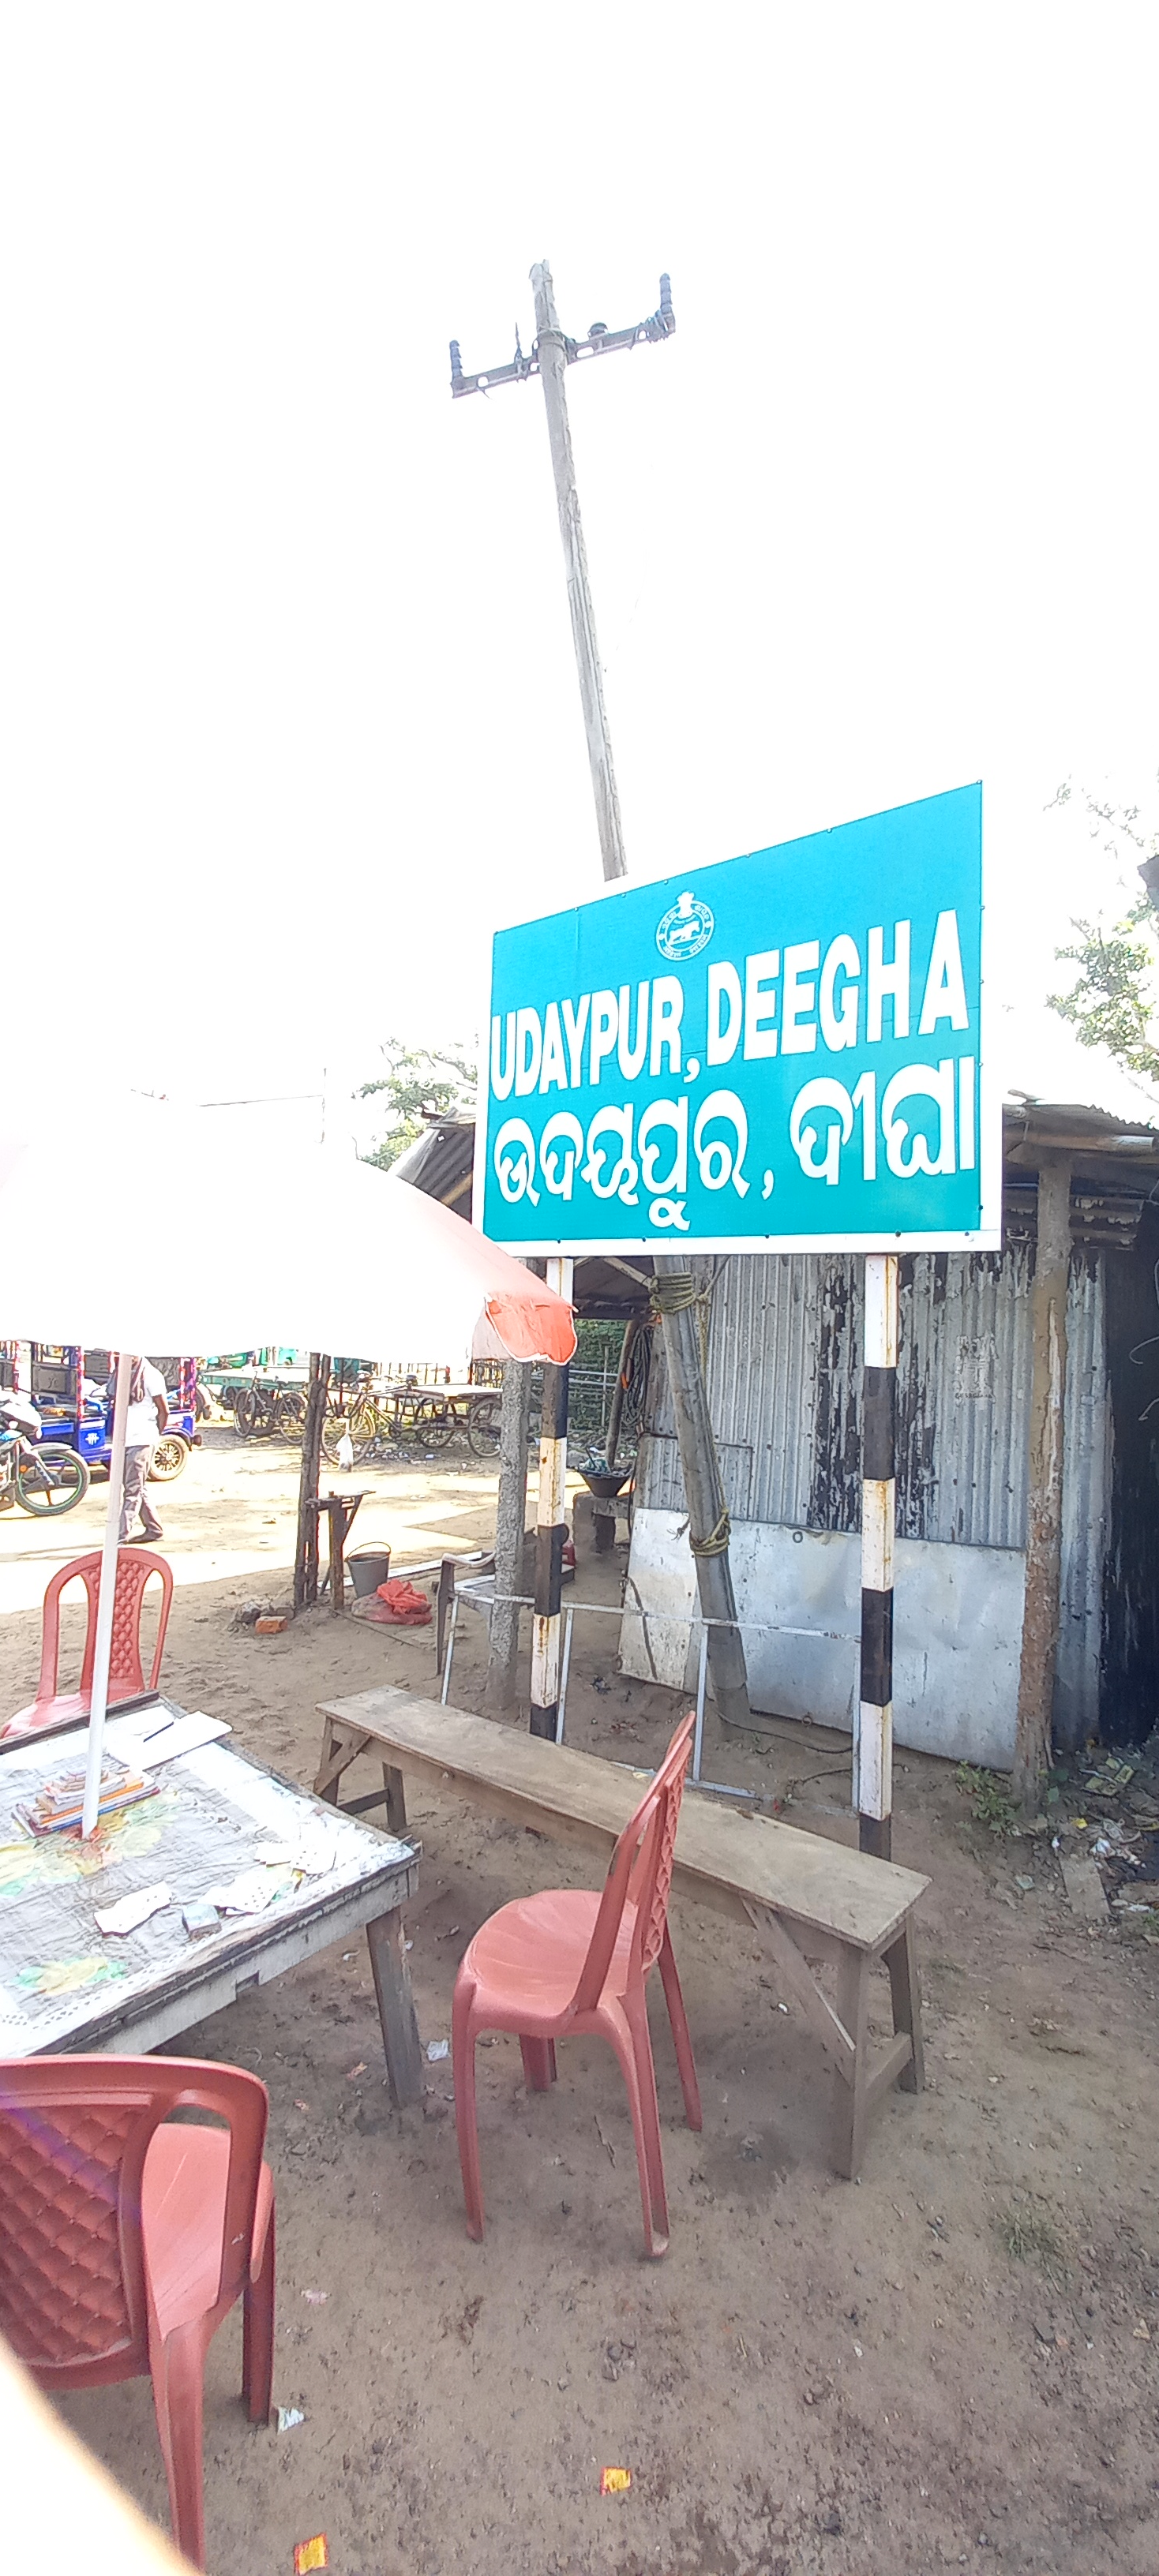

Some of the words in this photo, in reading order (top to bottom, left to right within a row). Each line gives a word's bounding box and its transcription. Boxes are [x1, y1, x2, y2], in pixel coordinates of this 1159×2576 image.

[477, 965, 693, 1108] UDAYPUR
[703, 904, 974, 1071] DEEGHA
[482, 1084, 756, 1241] ଉଦୟପୁର
[786, 1051, 981, 1189] ଦୀଘା